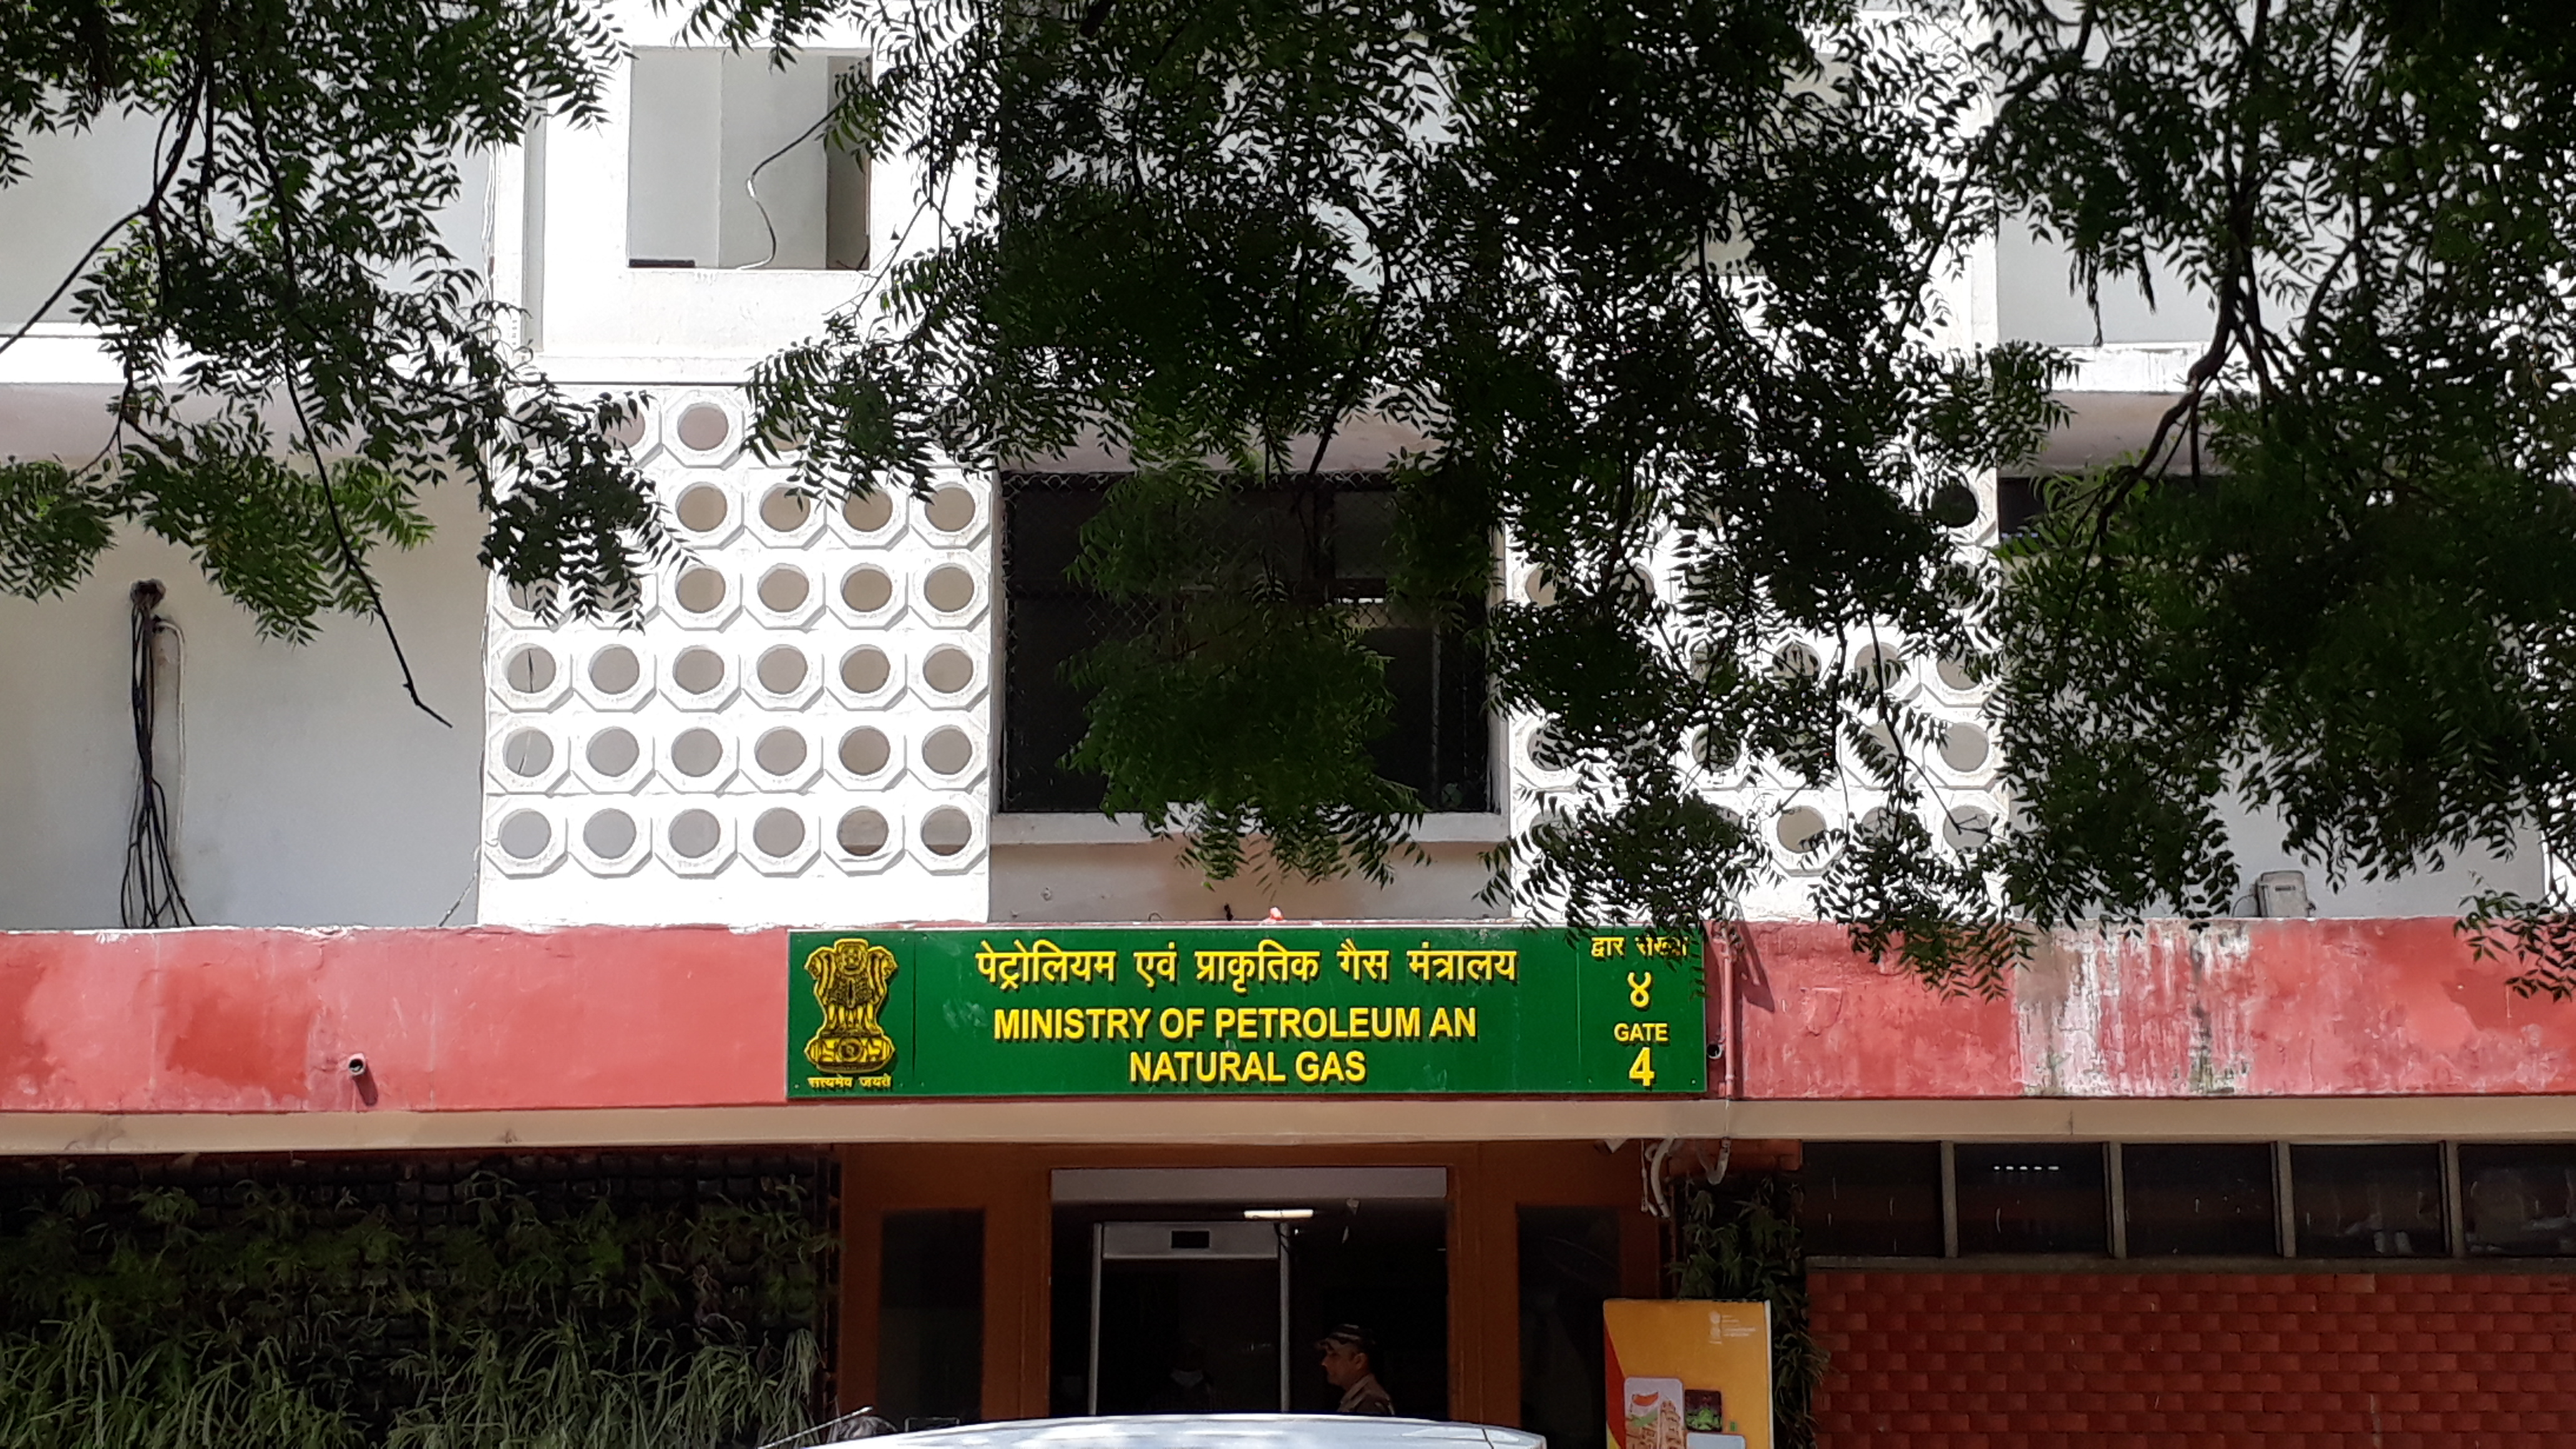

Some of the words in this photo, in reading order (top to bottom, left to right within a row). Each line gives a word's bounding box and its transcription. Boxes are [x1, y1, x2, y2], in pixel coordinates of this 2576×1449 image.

[972, 936, 1120, 995] पेट्रोलियम
[1132, 937, 1181, 991] एवं
[1194, 934, 1323, 996] प्राकृतिक
[1335, 933, 1392, 987] गैस
[1405, 937, 1519, 983] मंत्रालय
[1586, 935, 1624, 965] द्वार
[1634, 930, 1693, 962] संख्या
[1624, 967, 1657, 1011] ४
[991, 1006, 1156, 1044] MINISTRY
[1151, 1002, 1211, 1043] OF
[1213, 1003, 1422, 1042] PETROLEUM
[1425, 998, 1482, 1043] AN
[1608, 1014, 1671, 1050] GATE
[801, 1070, 855, 1093] सत्त्यमेव
[857, 1067, 893, 1091] जयरो
[1128, 1049, 1290, 1085] NATURAL
[1289, 1048, 1368, 1086] GAS
[1626, 1039, 1657, 1091] 4